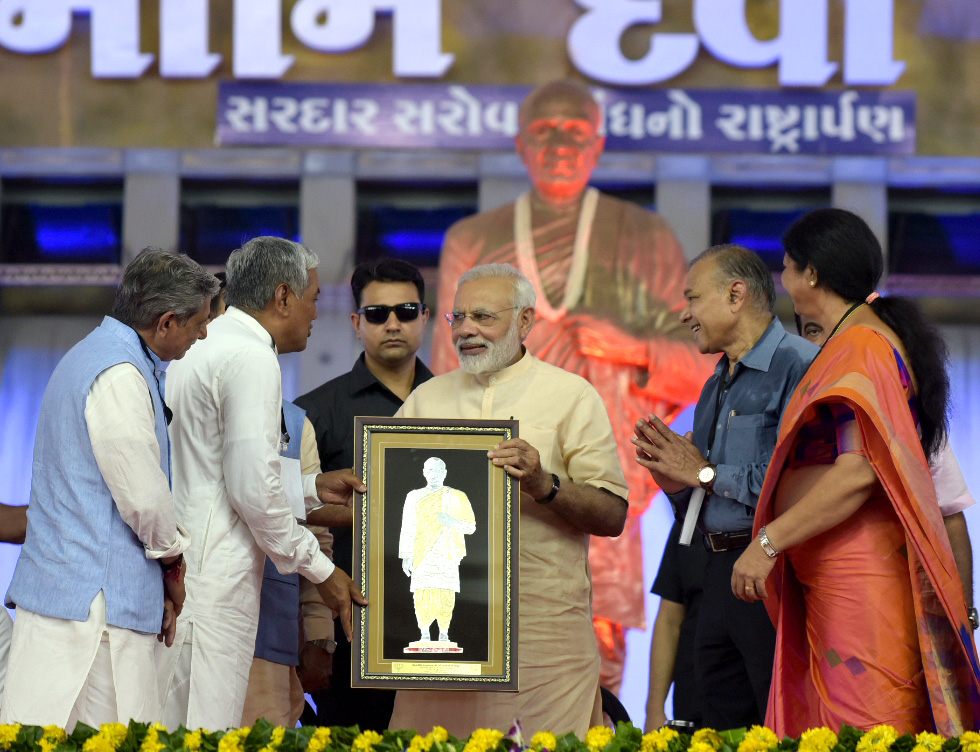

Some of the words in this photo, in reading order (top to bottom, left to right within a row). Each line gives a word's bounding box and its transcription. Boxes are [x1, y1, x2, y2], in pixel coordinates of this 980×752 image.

[218, 91, 385, 139] સરદાર
[390, 78, 522, 140] સરૉવ
[590, 85, 706, 144] ધનો
[708, 84, 908, 154] રાષ્ટ્રાર્પણ